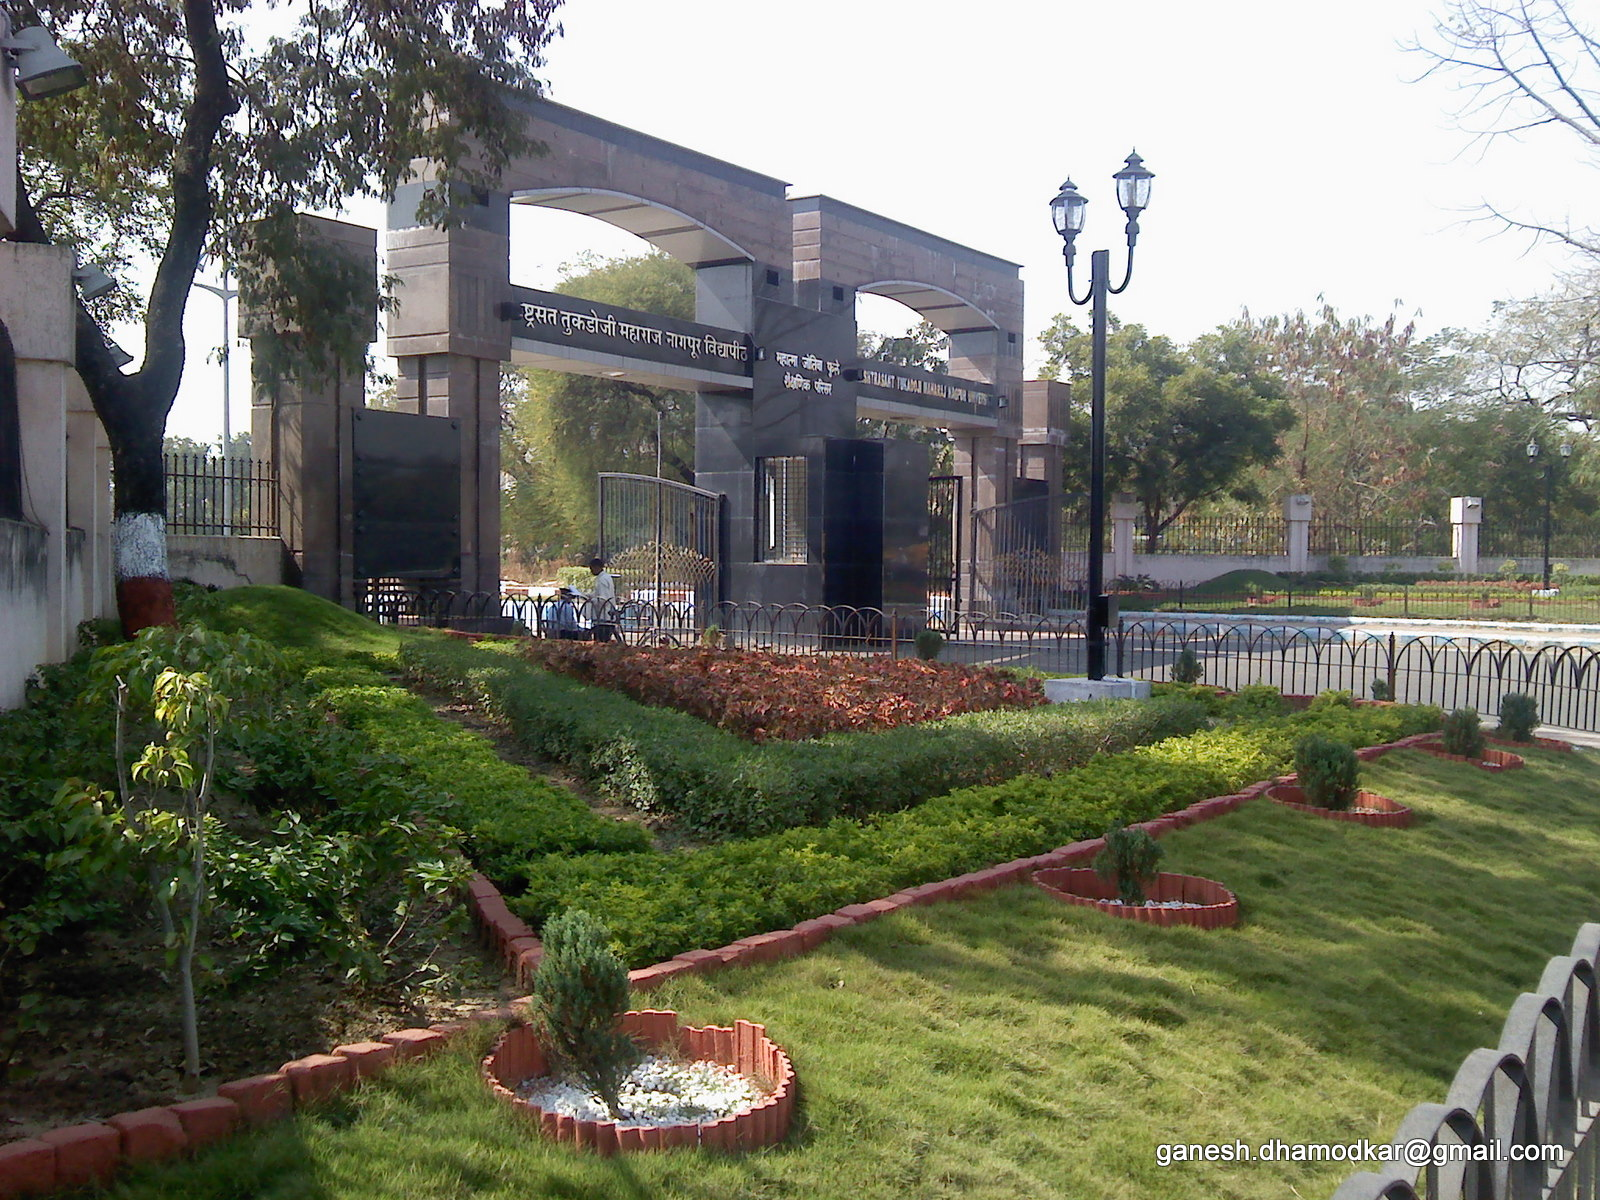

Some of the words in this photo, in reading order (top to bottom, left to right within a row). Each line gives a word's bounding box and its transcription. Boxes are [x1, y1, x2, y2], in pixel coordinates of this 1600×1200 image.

[519, 298, 562, 331] ष्ट्रसत
[551, 305, 624, 342] तुकडोजी
[615, 318, 666, 351] महाराज
[664, 327, 706, 364] नागपूर
[697, 327, 754, 368] विद्यापीठ
[773, 344, 801, 373] महात्मा
[781, 370, 815, 393] शैक्षणिक
[797, 349, 828, 379] जोतिबा
[809, 373, 837, 399] परिसर
[823, 352, 847, 382] फुले
[1149, 1130, 1568, 1169] ganesh.dhamodkar@gmail.com